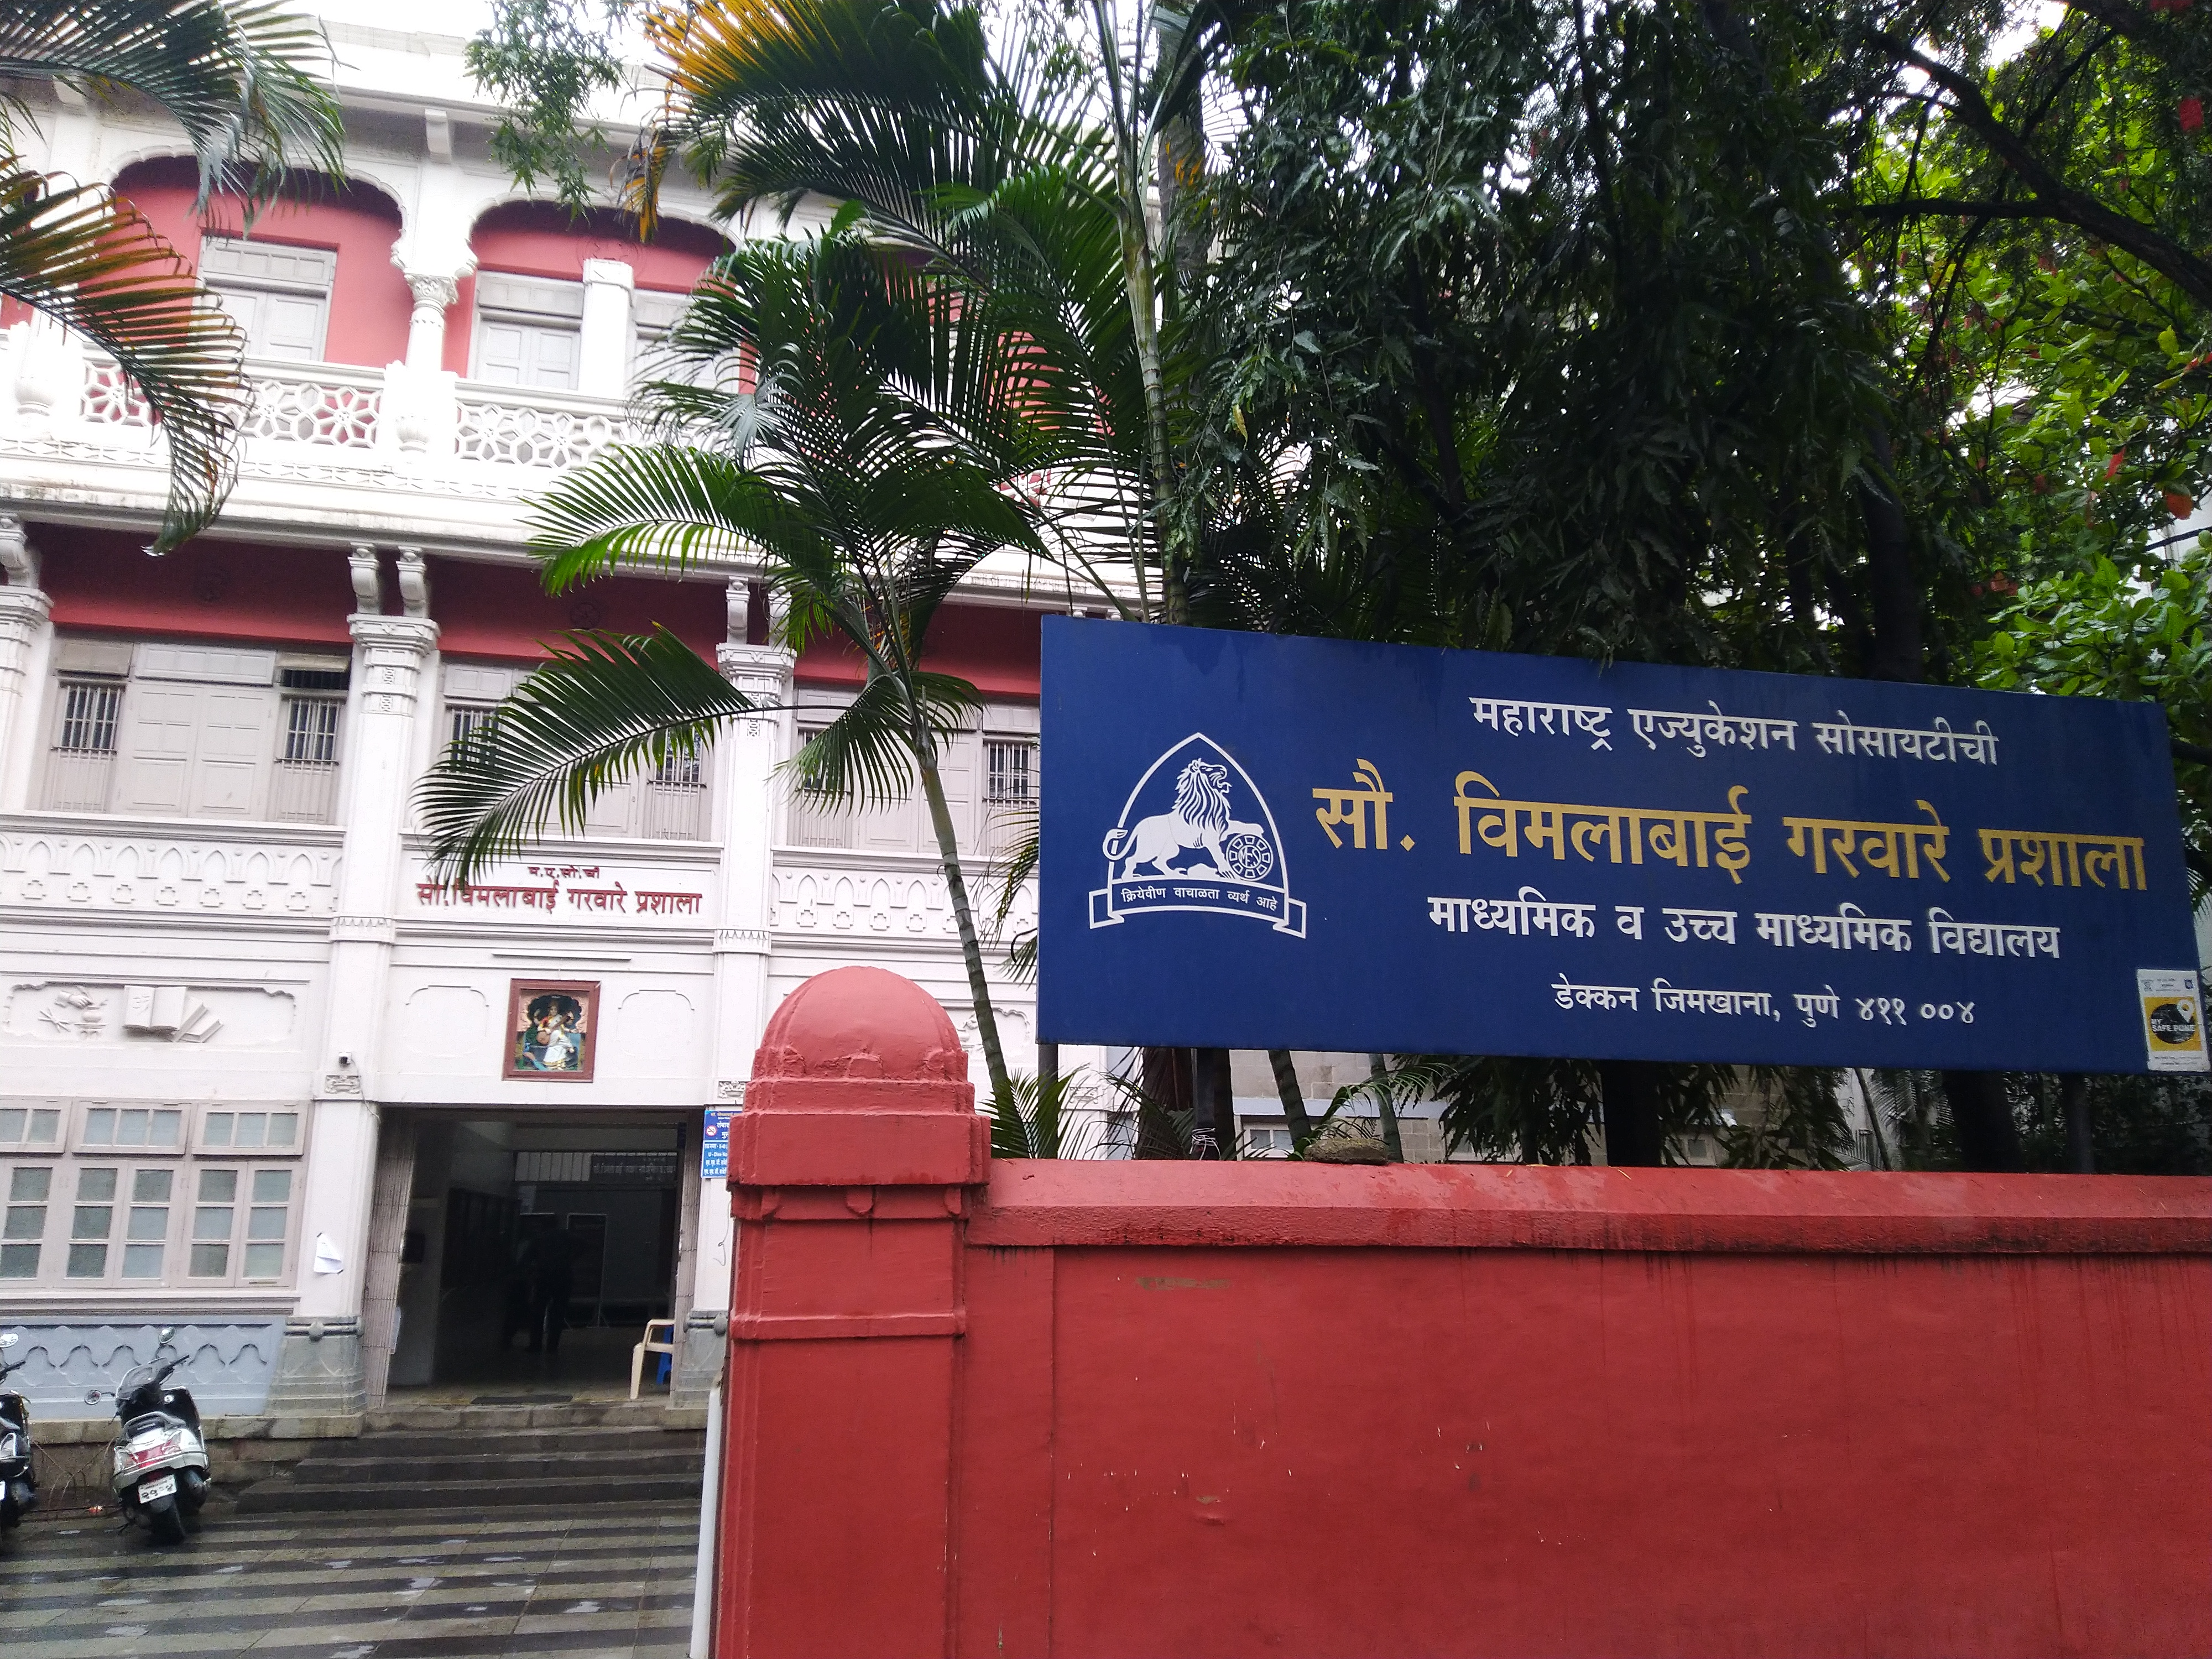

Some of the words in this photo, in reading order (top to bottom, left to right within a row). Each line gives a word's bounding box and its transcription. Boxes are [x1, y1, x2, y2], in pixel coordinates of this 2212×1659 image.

[1470, 691, 1618, 755] महाराष्ट्र
[1625, 695, 1802, 761] एज्युकेशन
[1811, 706, 2000, 769] सोसायटीची
[1308, 752, 1419, 857] सौ.
[410, 873, 454, 911] सौ.
[445, 873, 566, 915] विमलाबाई
[528, 862, 603, 881] म.ए.सो.ची
[566, 875, 631, 915] गरवारे
[634, 887, 709, 916] प्रशाला
[1115, 880, 1170, 907] क्रियेवीण
[1171, 884, 1223, 902] वाचळता
[1223, 883, 1253, 908] व्यर्थ
[1250, 894, 1284, 914] आहे
[1426, 880, 1602, 940] माध्यमिक
[1444, 765, 1754, 890] विमलाबाई
[1609, 896, 1651, 940] व
[1660, 906, 1742, 949] उच्च
[1752, 893, 1916, 954] माध्यमिक
[1781, 796, 1955, 885] गरवारे
[1922, 902, 2063, 961] विद्यालय
[1975, 825, 2148, 891] प्रशाला
[1546, 969, 1644, 1014] डेक्कन
[1645, 969, 1774, 1018] जिमखाना
[1791, 976, 1844, 1033] पुणे
[1849, 989, 1909, 1032] ४११
[1916, 997, 1980, 1028] ००४